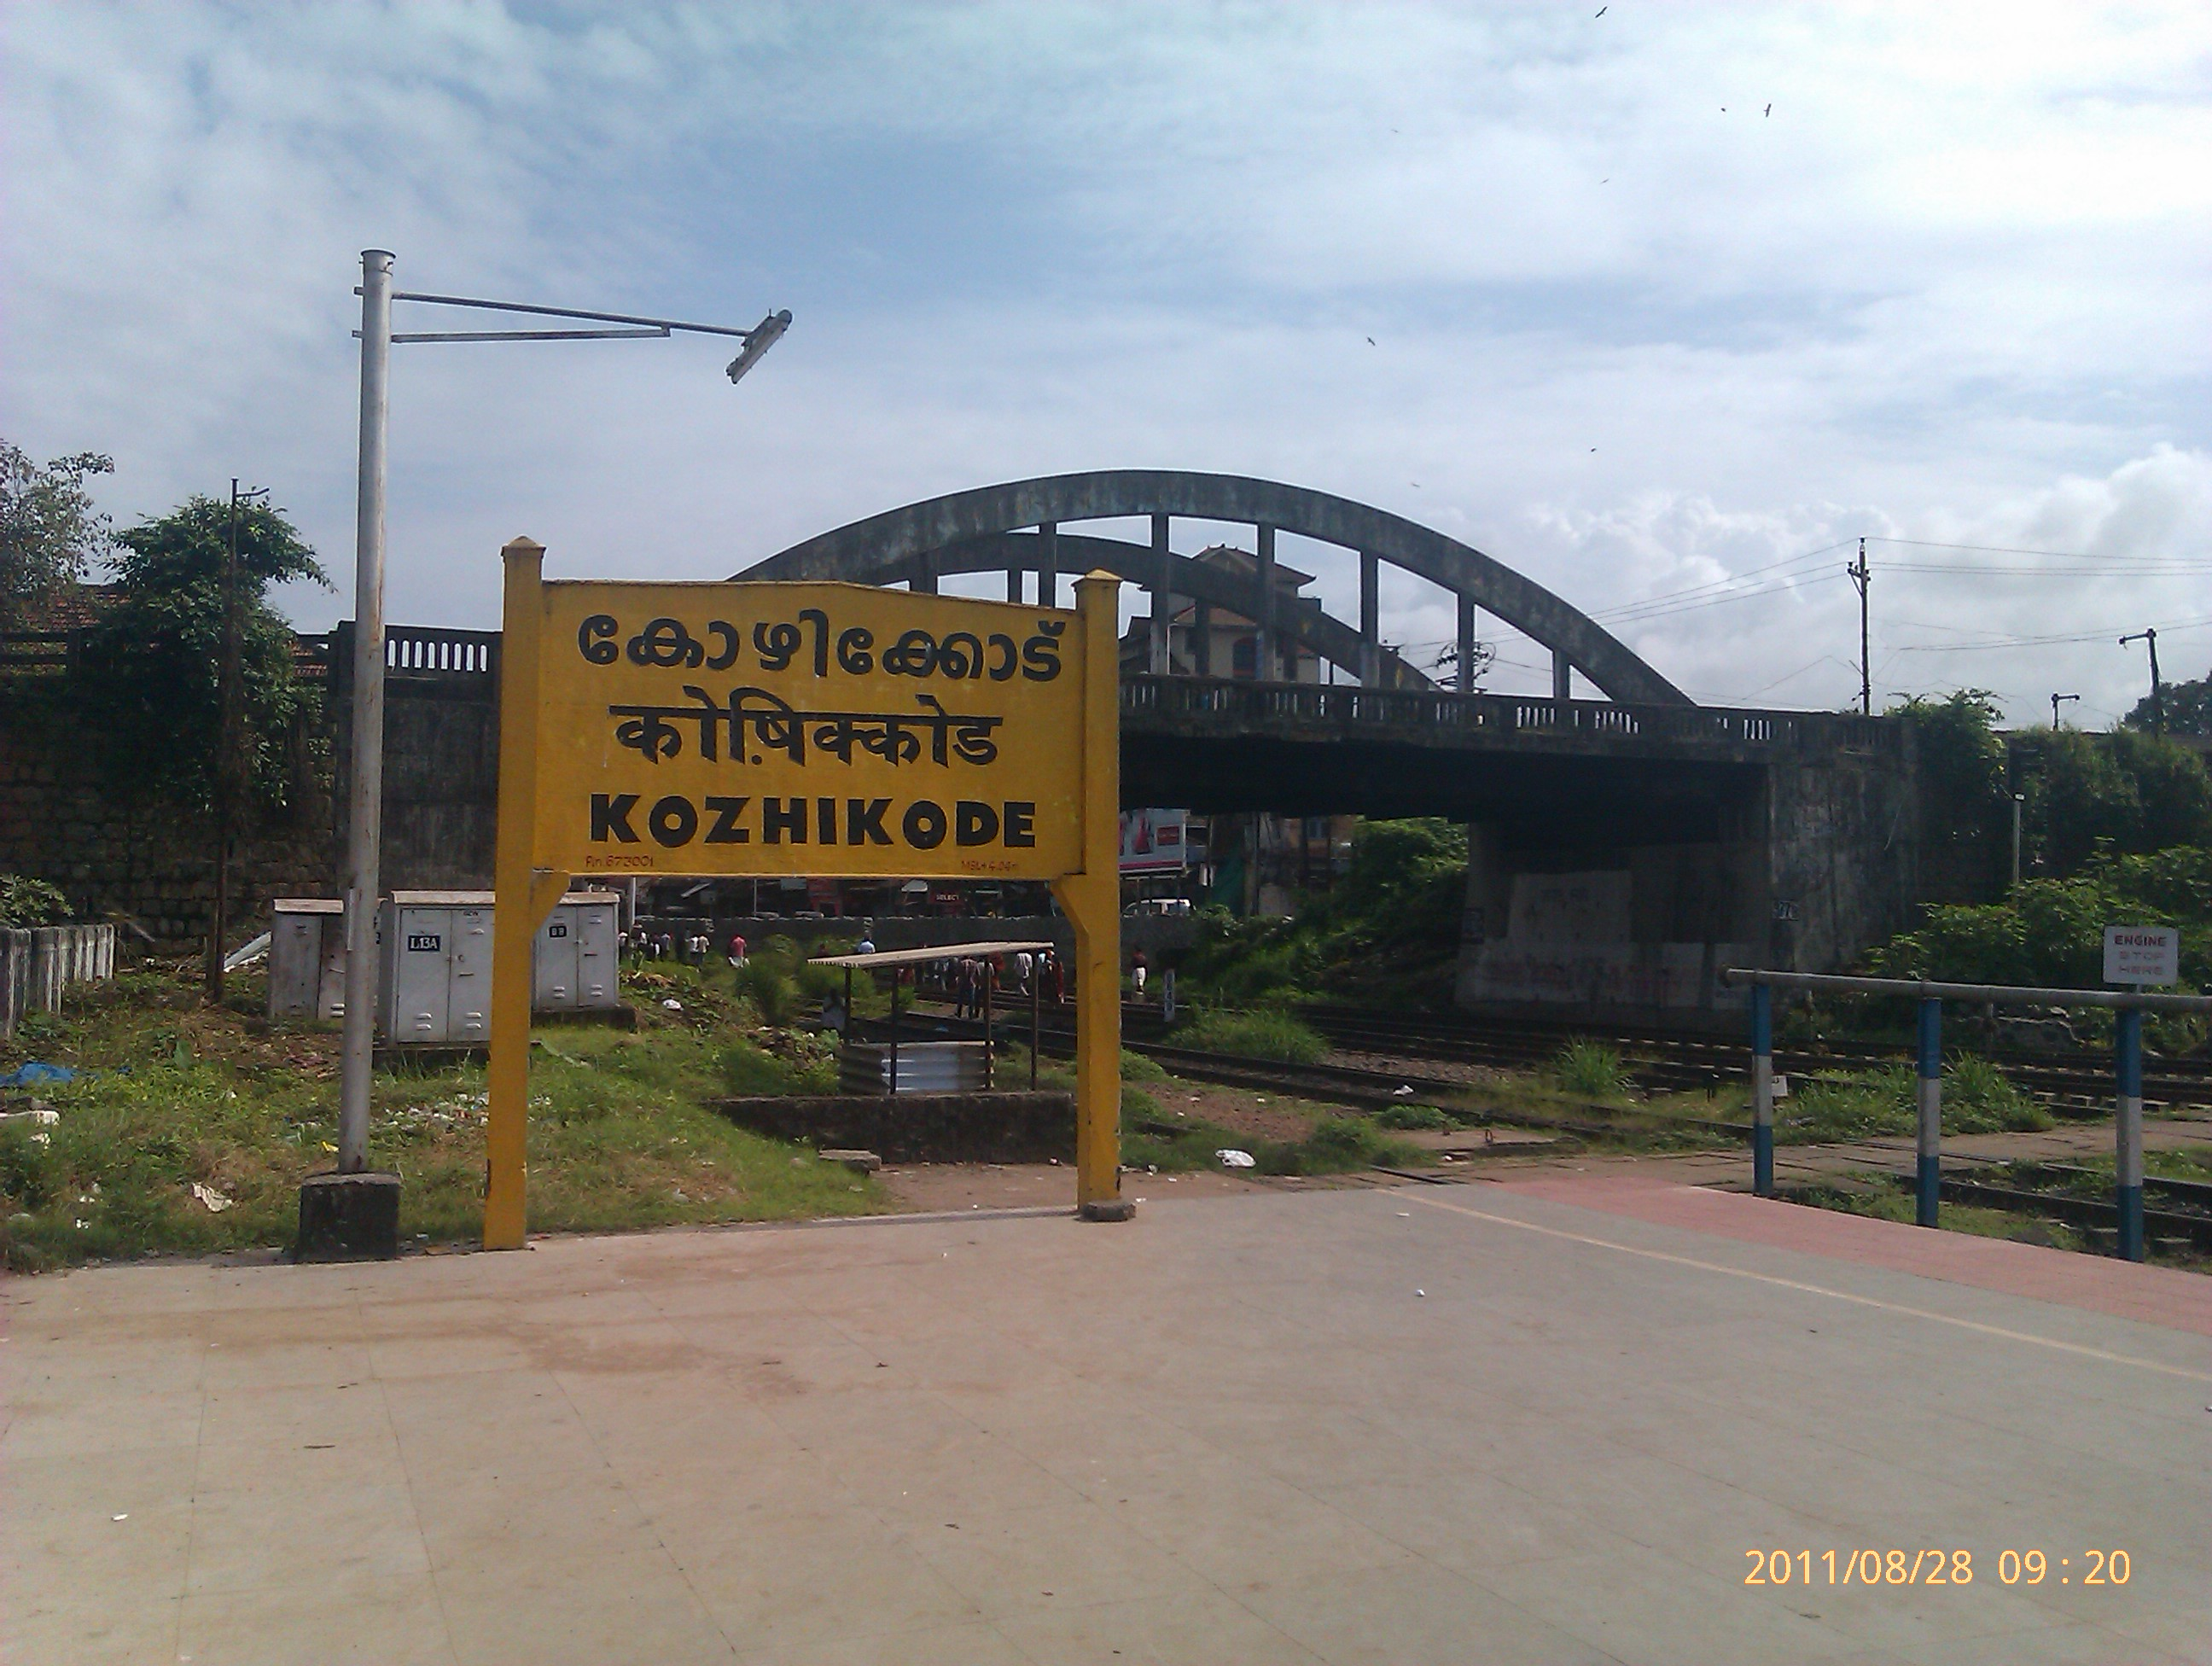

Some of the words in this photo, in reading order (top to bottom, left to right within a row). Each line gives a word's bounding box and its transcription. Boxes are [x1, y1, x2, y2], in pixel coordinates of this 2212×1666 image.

[571, 603, 1068, 687] കോഴിക്കോട്
[602, 679, 1004, 772] നിഘണ്ട
[581, 784, 1041, 855] KOZHIKODE
[1732, 1540, 1978, 1598] 2011/08/28
[1988, 1545, 2140, 1598] 09:20